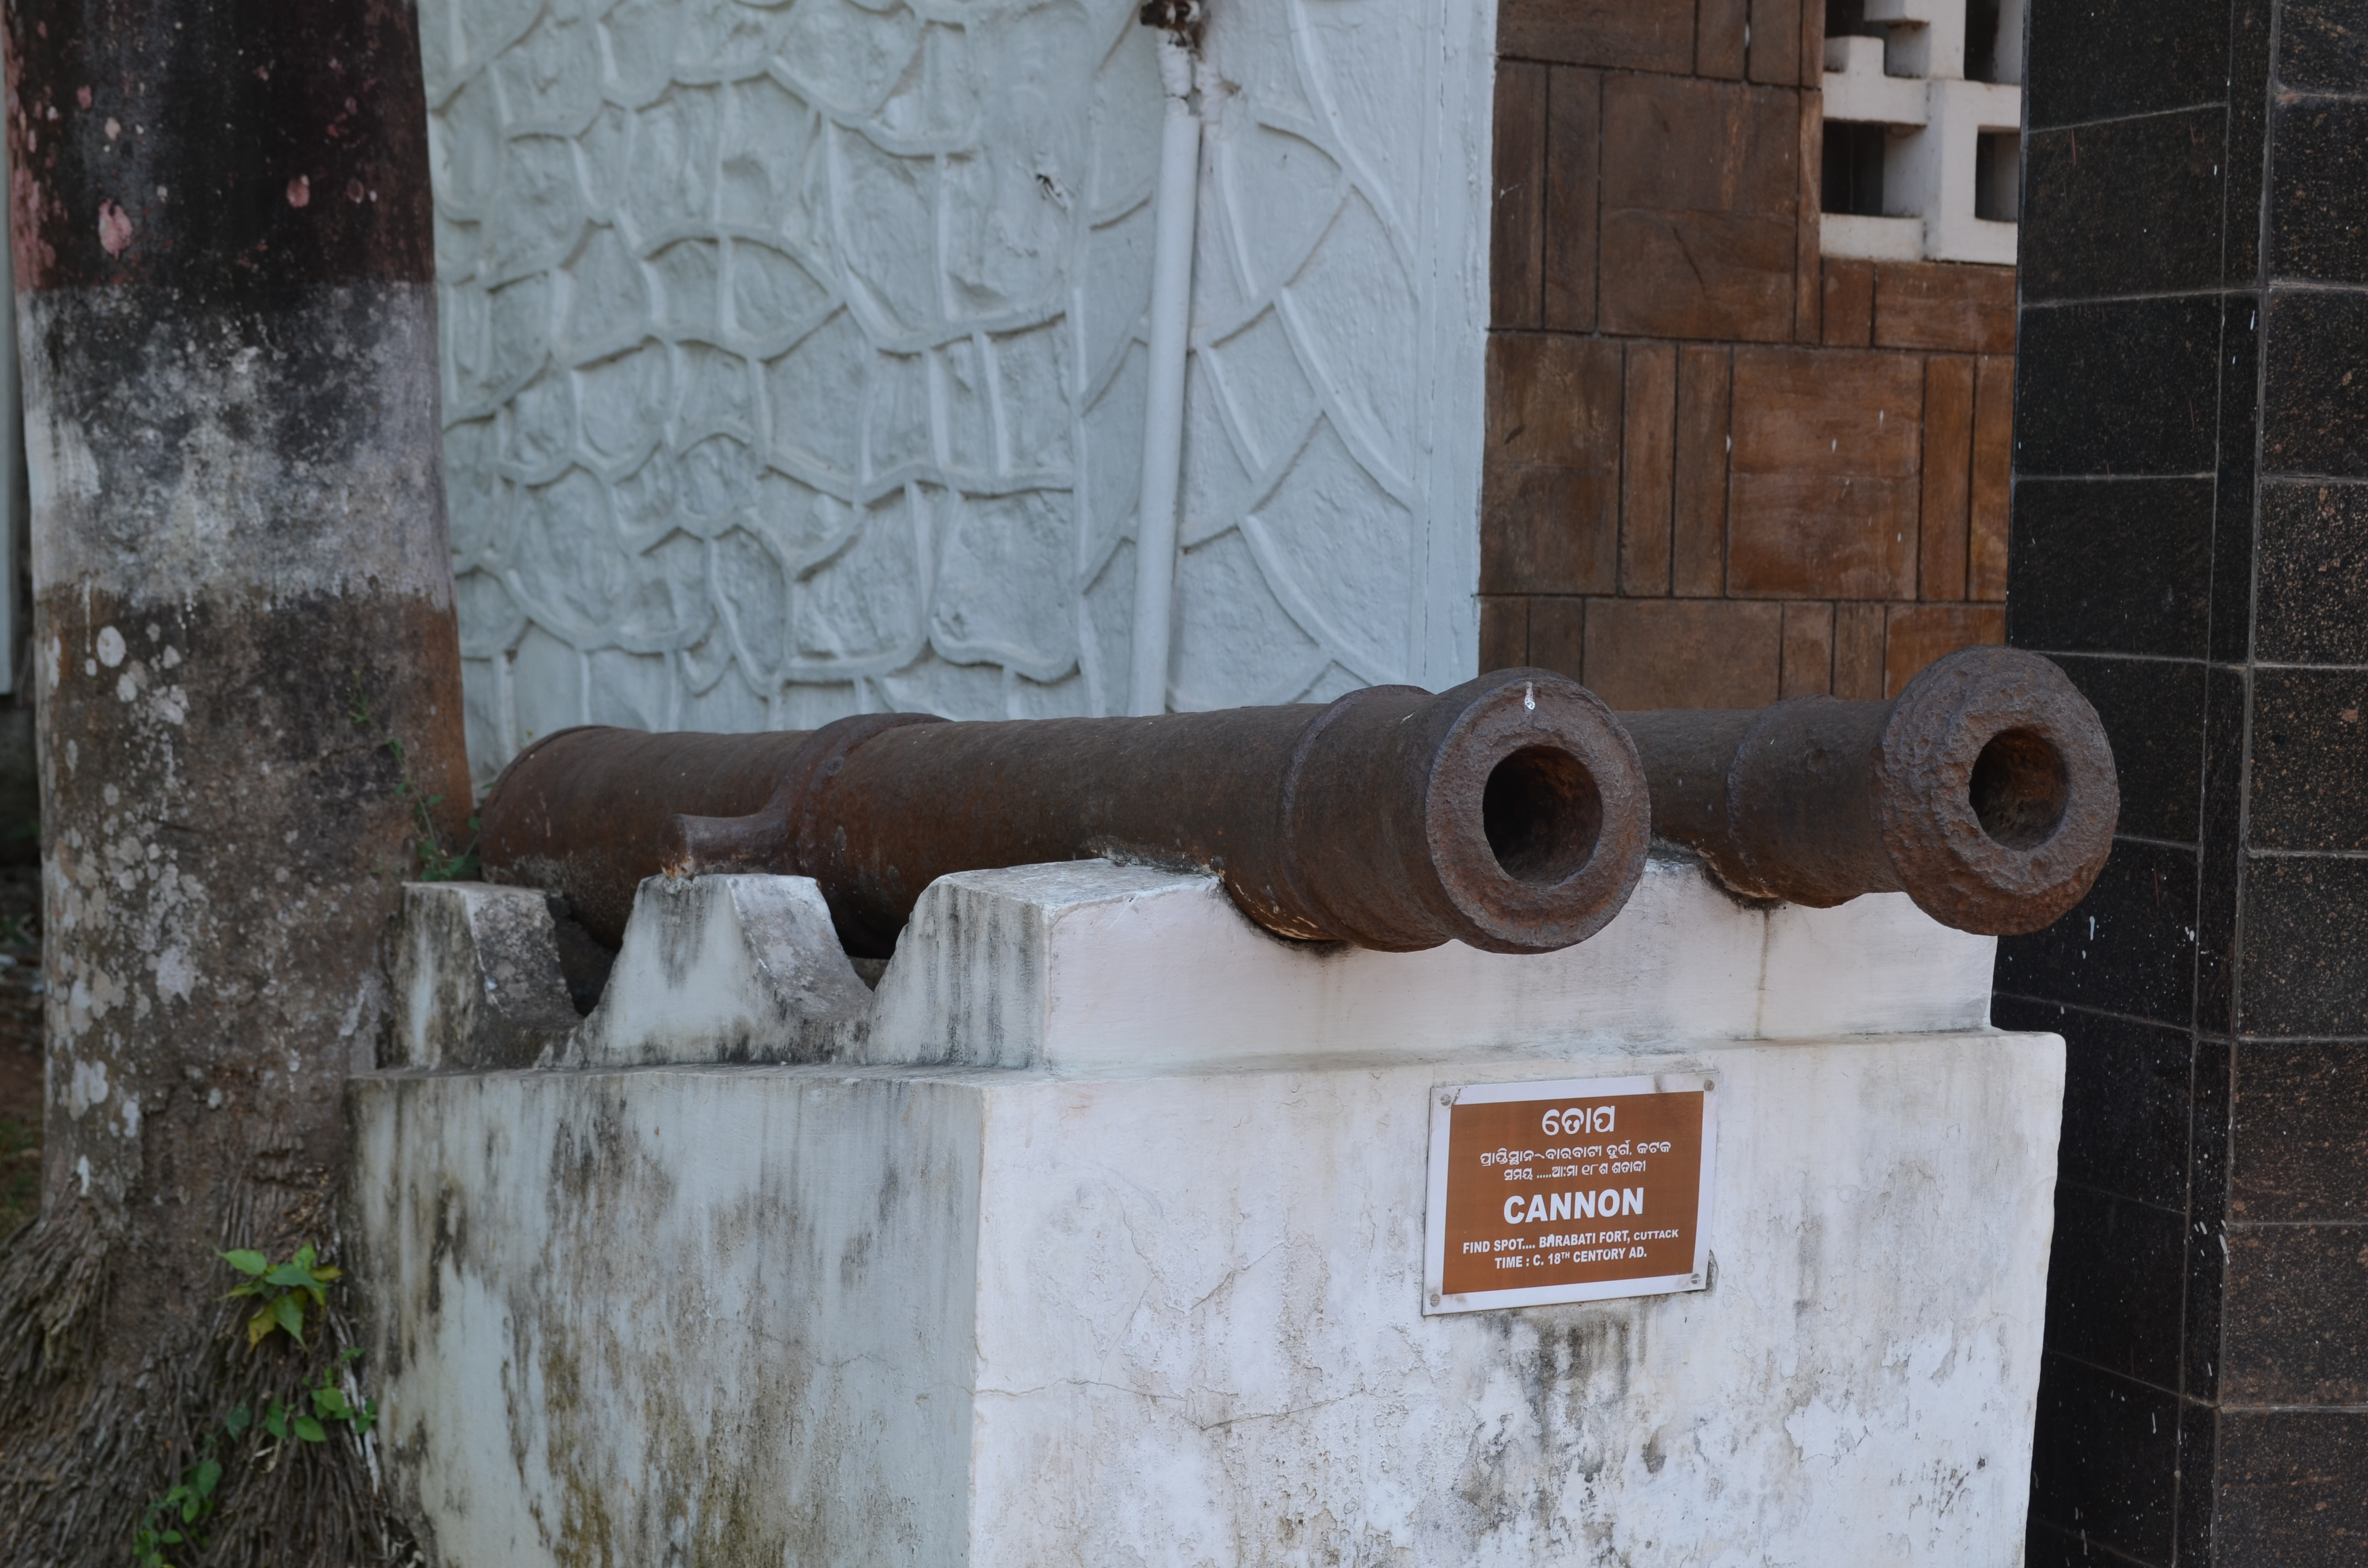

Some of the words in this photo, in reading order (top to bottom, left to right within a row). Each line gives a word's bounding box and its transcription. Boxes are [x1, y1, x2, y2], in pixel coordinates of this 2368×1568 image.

[1540, 1101, 1620, 1138] ତୋପ
[1476, 1142, 1538, 1169] ପ୍ରାପ୍ତିସ୍ଥାନ-
[1542, 1142, 1604, 1161] ବାରବାଟୀ
[1604, 1136, 1633, 1162] ଦୁର୍ଗ,
[1635, 1137, 1673, 1157] କଟକ
[1502, 1164, 1538, 1184] ସମୟ
[1550, 1159, 1580, 1179] ଆ:ମା
[1578, 1158, 1647, 1179] ୧୮ଶ ଶତାଦ୍ଦୀ
[1502, 1185, 1645, 1227] CANNON
[1461, 1238, 1491, 1255] FIND
[1490, 1236, 1525, 1254] SPOT.
[1493, 1254, 1525, 1273] TIME
[1531, 1249, 1572, 1269] C.18TH
[1538, 1230, 1598, 1249] BARABATI
[1570, 1245, 1628, 1265] CENTORY
[1597, 1225, 1630, 1246] FORT,
[1628, 1245, 1649, 1262] AD.
[1631, 1225, 1680, 1242] CUTTACK